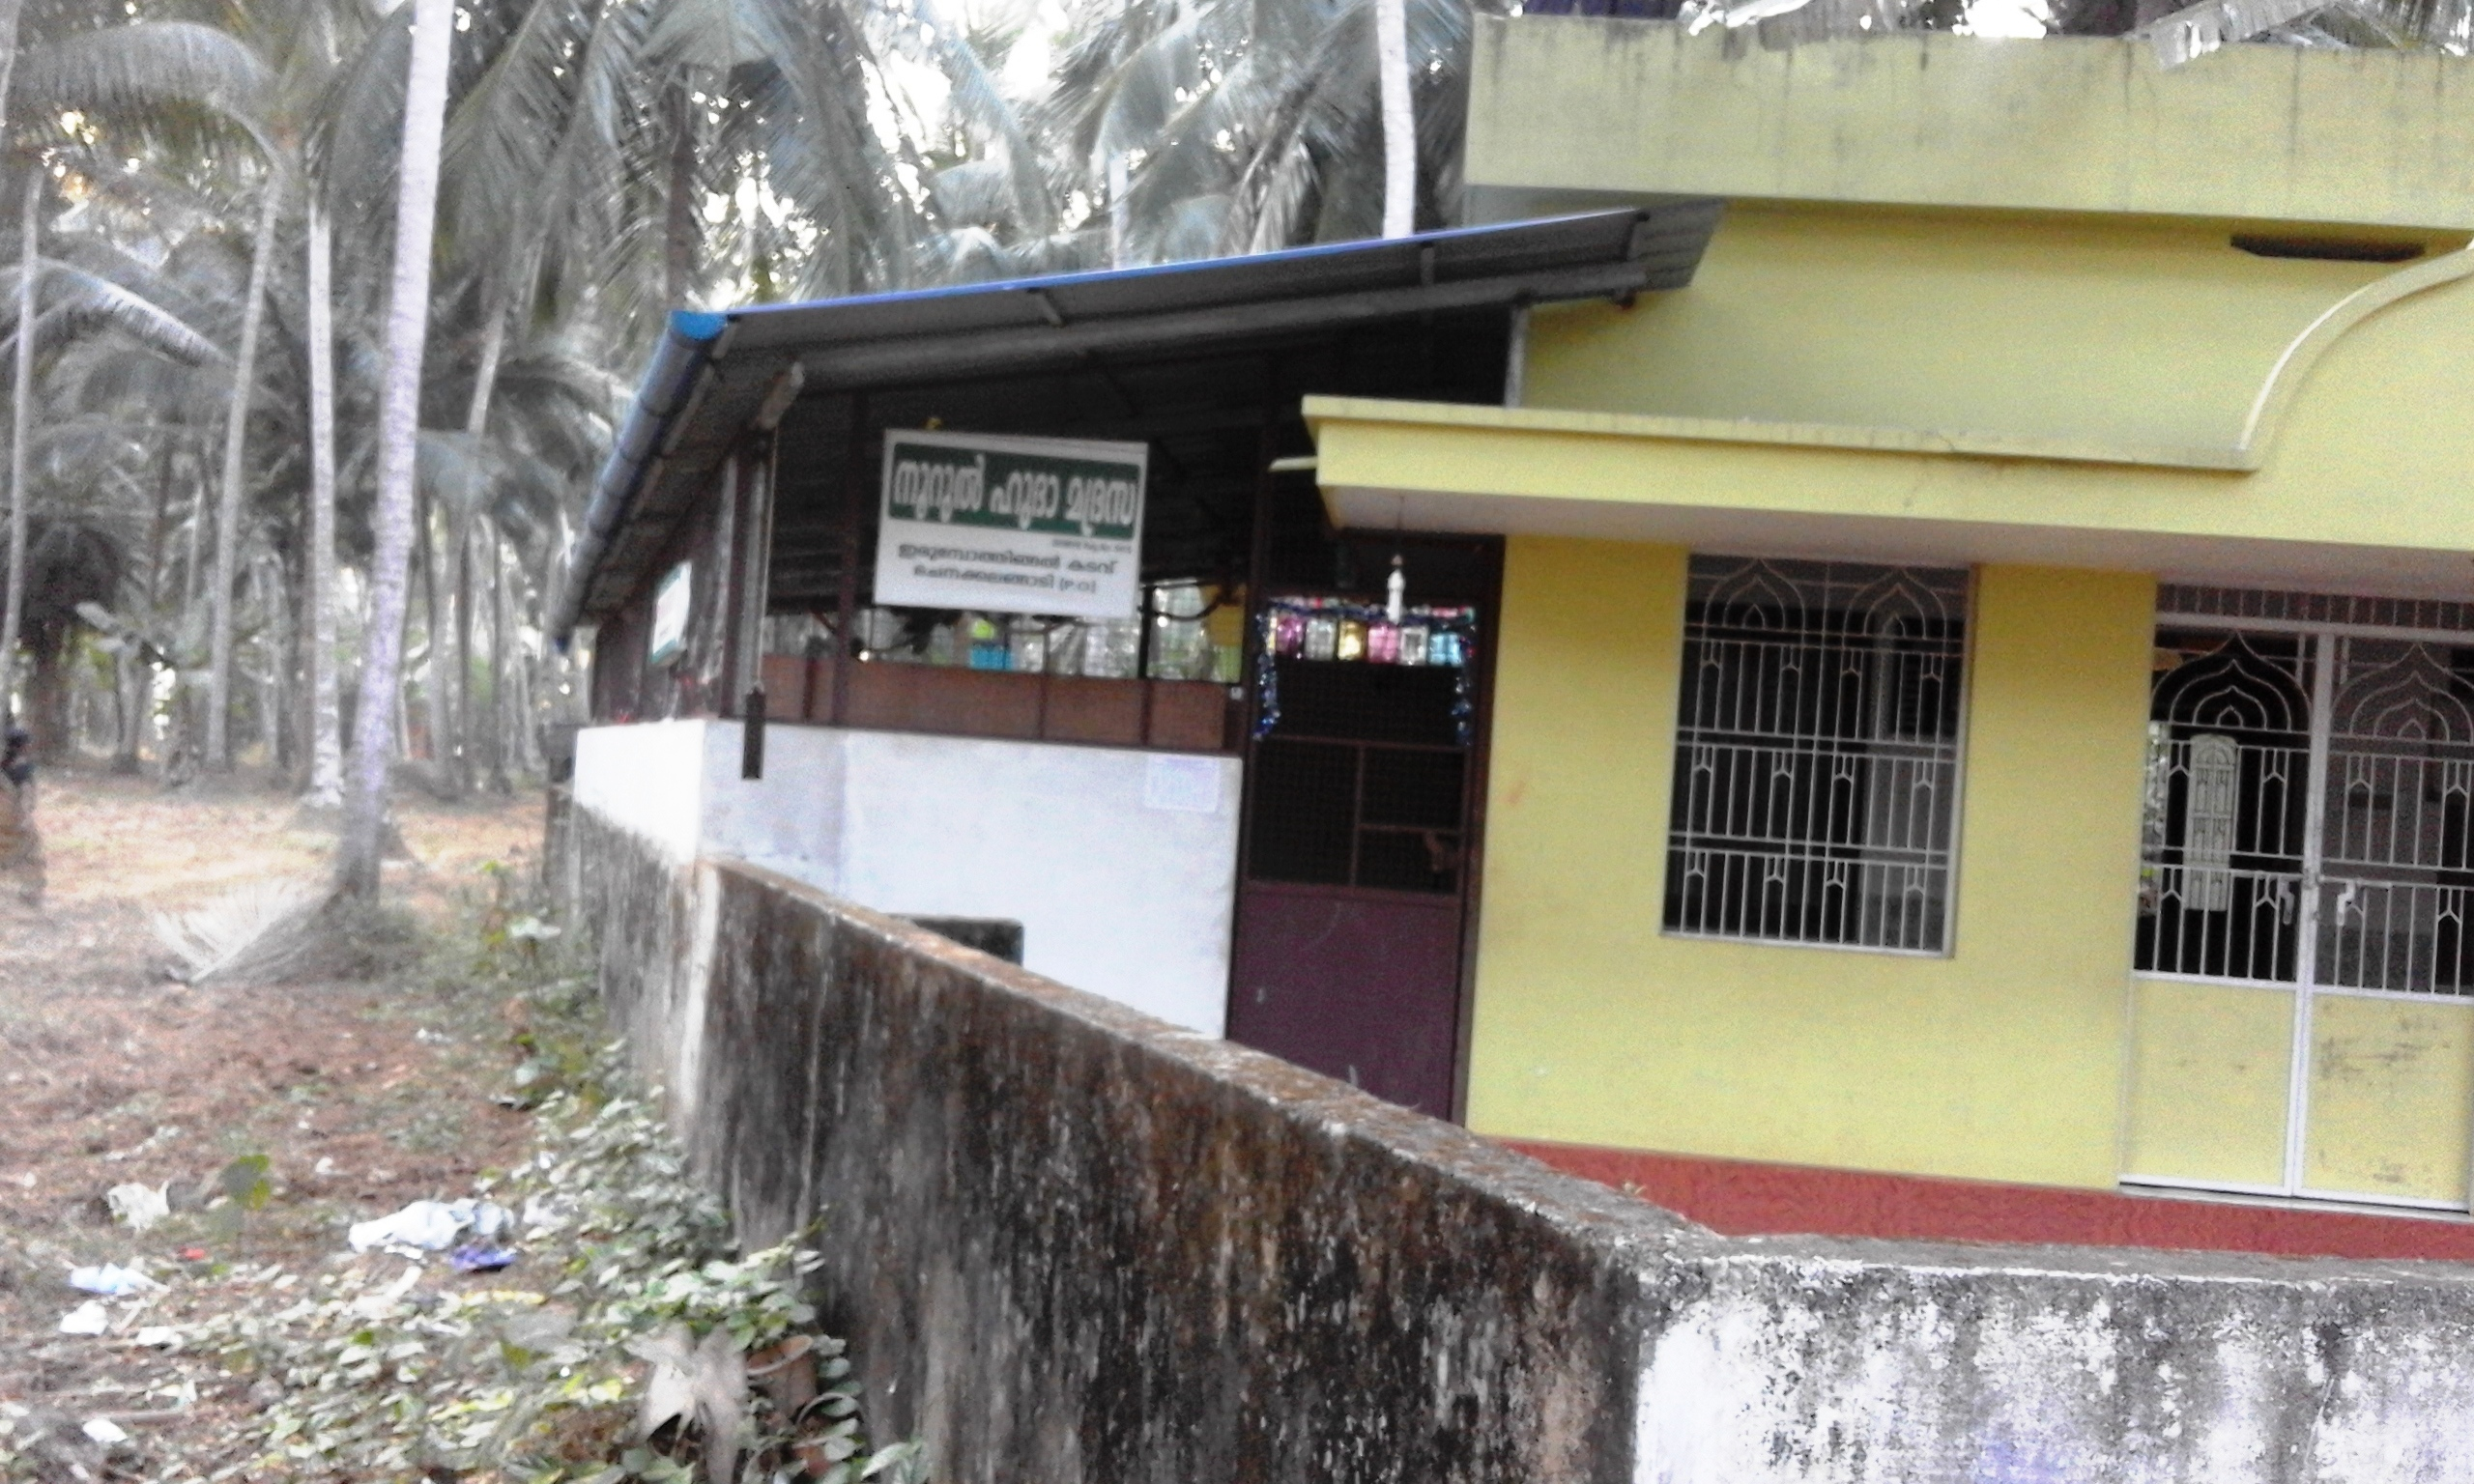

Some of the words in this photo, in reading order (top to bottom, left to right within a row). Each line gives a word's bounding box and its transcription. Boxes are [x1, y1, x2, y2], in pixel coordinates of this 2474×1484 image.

[890, 449, 991, 526] സൂറൂൽ
[989, 461, 1066, 532] ഹുദാ
[1059, 469, 1140, 540] മദ്രസ
[1058, 575, 1095, 601] (P.0)
[1059, 554, 1120, 580] കടവ്